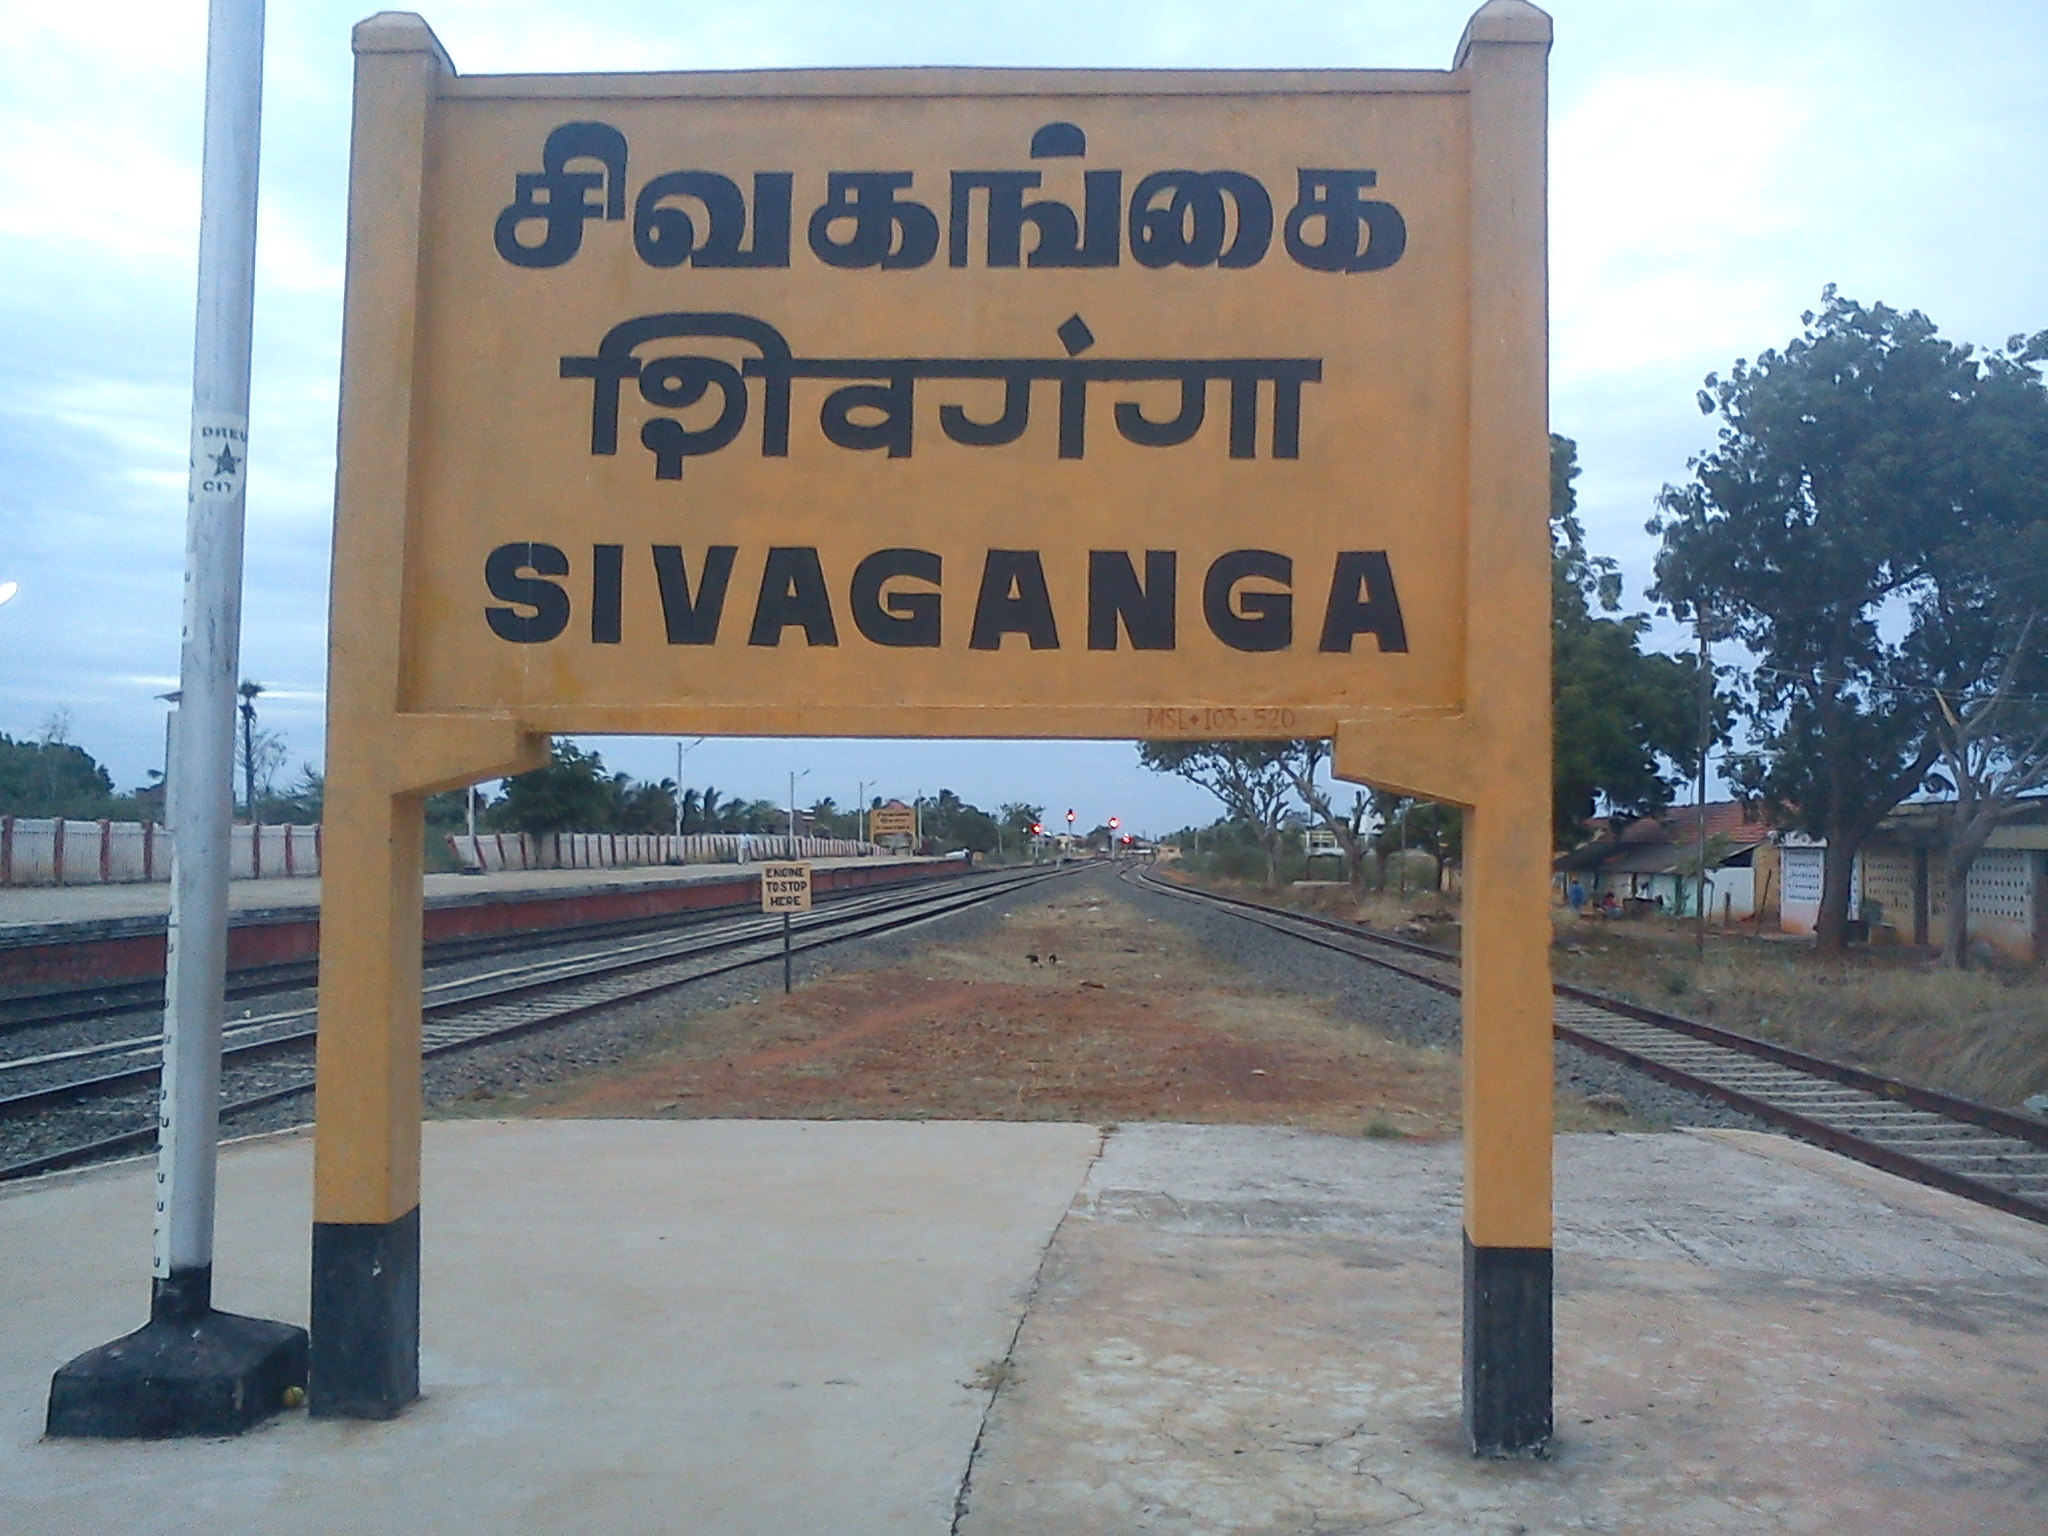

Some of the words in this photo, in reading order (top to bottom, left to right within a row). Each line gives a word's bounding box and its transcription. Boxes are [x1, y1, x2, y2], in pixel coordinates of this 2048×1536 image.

[488, 104, 1420, 288] சிவகங்கை
[550, 290, 1338, 490] शिवगंगा
[466, 520, 1426, 666] SIVAGANGA